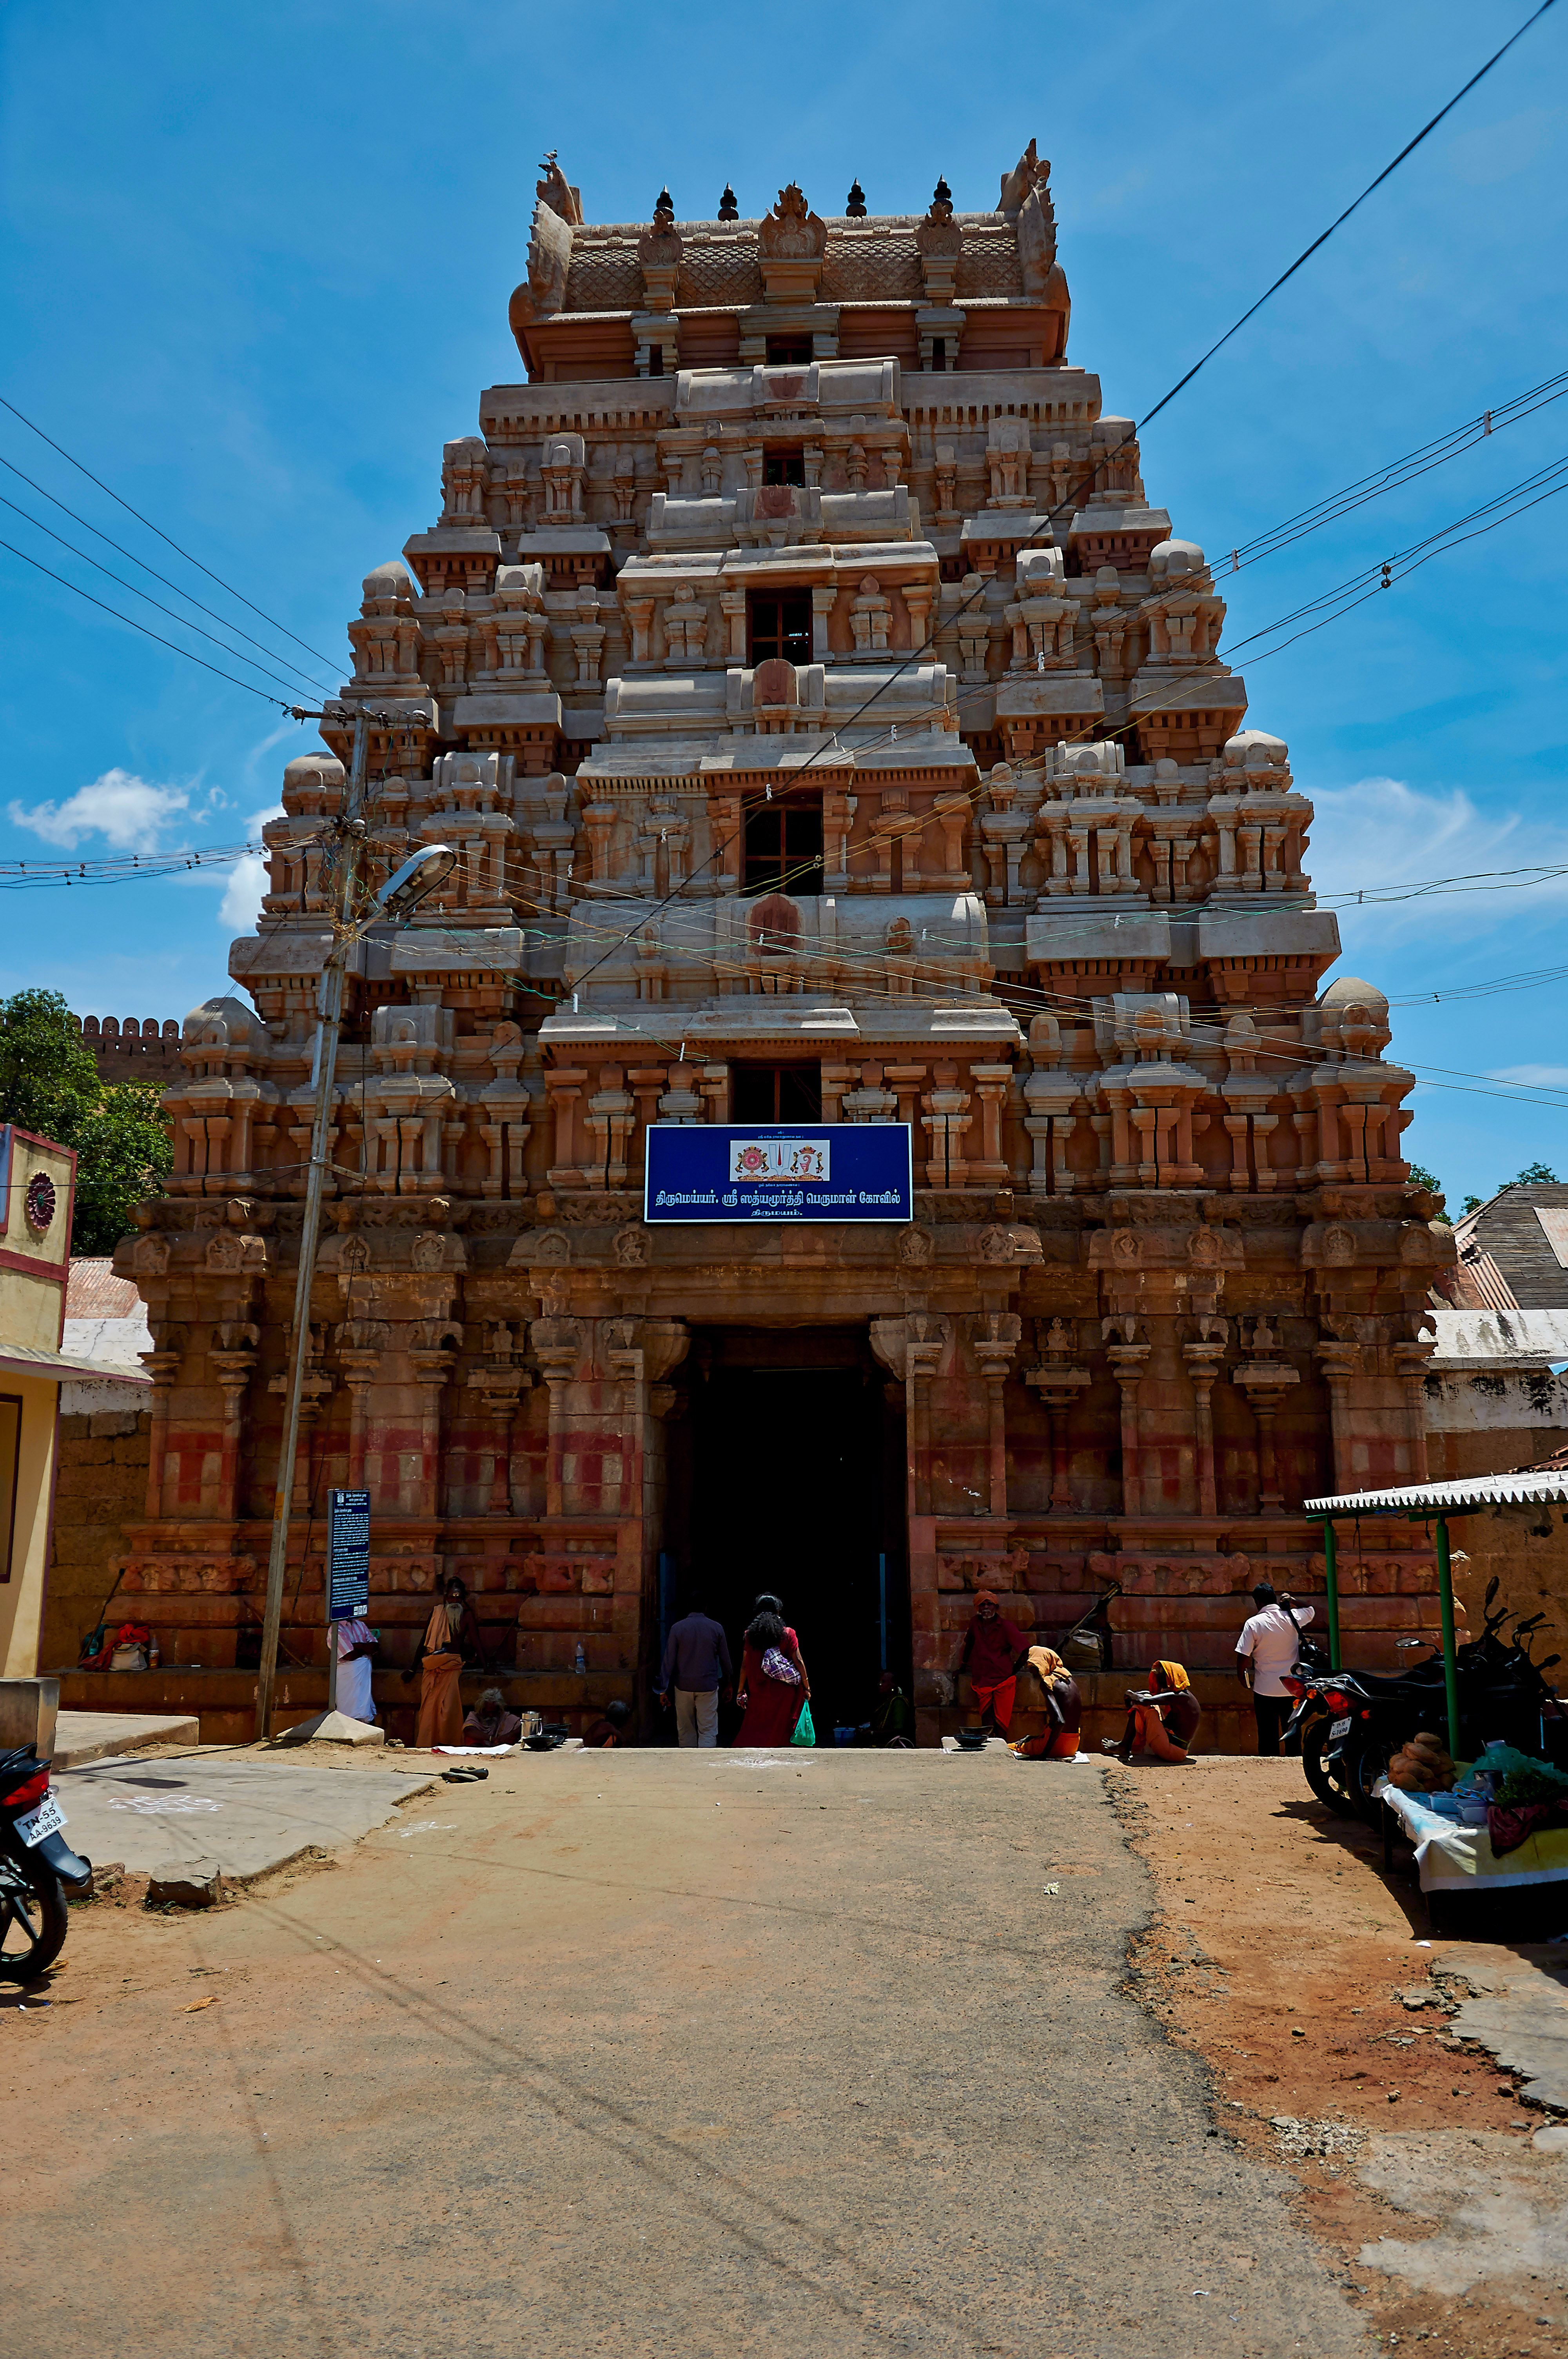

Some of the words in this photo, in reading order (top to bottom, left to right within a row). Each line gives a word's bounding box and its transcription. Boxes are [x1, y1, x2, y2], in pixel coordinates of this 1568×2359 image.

[653, 1187, 720, 1208] தி௫மெய்யா்.
[720, 1185, 740, 1209] ஸ்ரீ
[739, 1186, 805, 1208] ஸத்யமூா்த்தி
[804, 1188, 859, 1208] பெருமாள்
[857, 1187, 902, 1206] கோவில்
[748, 1207, 806, 1218] திருமயம்ஃ